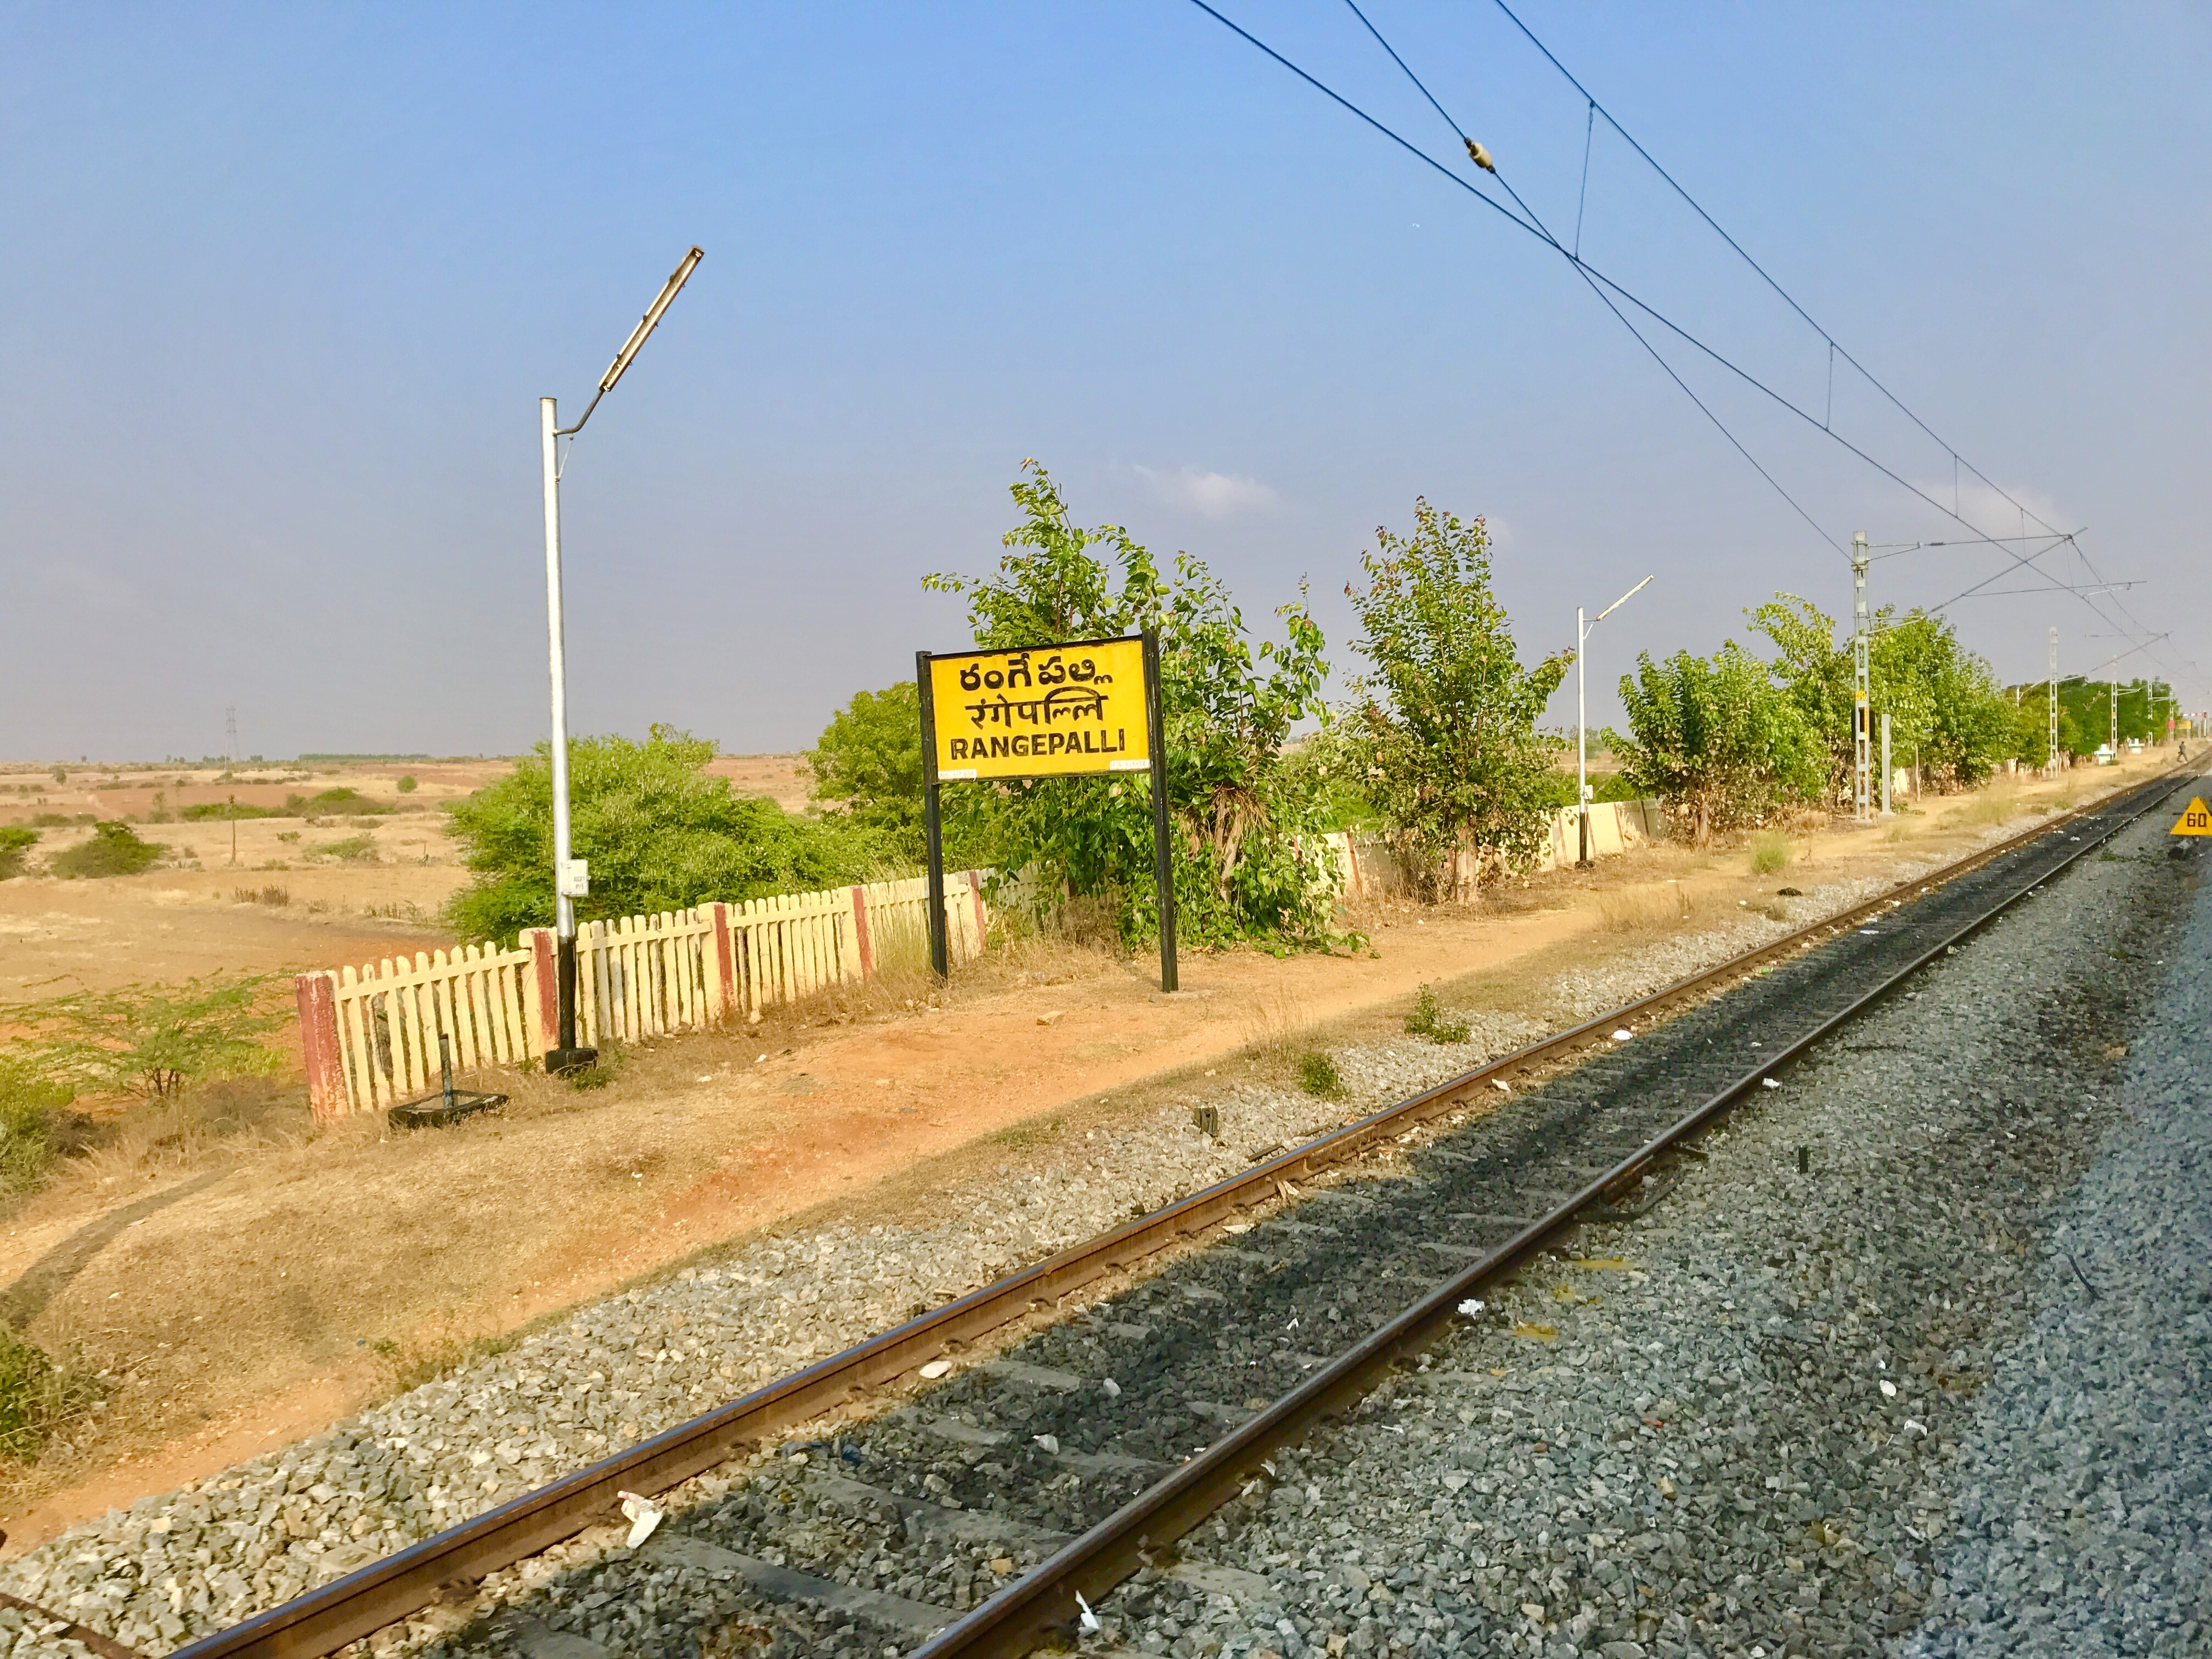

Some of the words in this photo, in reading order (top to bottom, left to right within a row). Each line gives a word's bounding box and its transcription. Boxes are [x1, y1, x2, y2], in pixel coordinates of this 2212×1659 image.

[959, 651, 1116, 694] రంగే పల్లి
[962, 681, 1111, 731] रंगेपल्लि
[949, 726, 1126, 760] RANGEPALLI